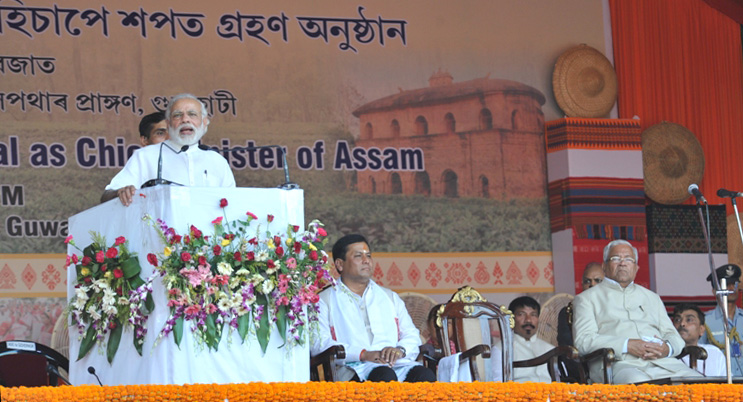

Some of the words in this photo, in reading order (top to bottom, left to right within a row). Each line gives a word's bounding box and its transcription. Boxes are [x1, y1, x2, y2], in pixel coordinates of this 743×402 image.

[2, 2, 108, 38] হচাপে
[116, 2, 205, 45] শপত
[214, 8, 290, 46] গ্ৰহণ
[296, 7, 407, 52] অনুষ্ঠান
[0, 48, 59, 78] বজাত
[1, 88, 67, 115] পথাৰ
[72, 90, 138, 116] প্ৰাঙ্গণ
[0, 127, 23, 172] al
[24, 136, 69, 170] as
[74, 133, 131, 172] Chi
[217, 138, 291, 173] ister
[293, 137, 327, 173] of
[333, 140, 424, 172] Assam
[0, 182, 25, 209] M
[6, 215, 70, 238] Guwa